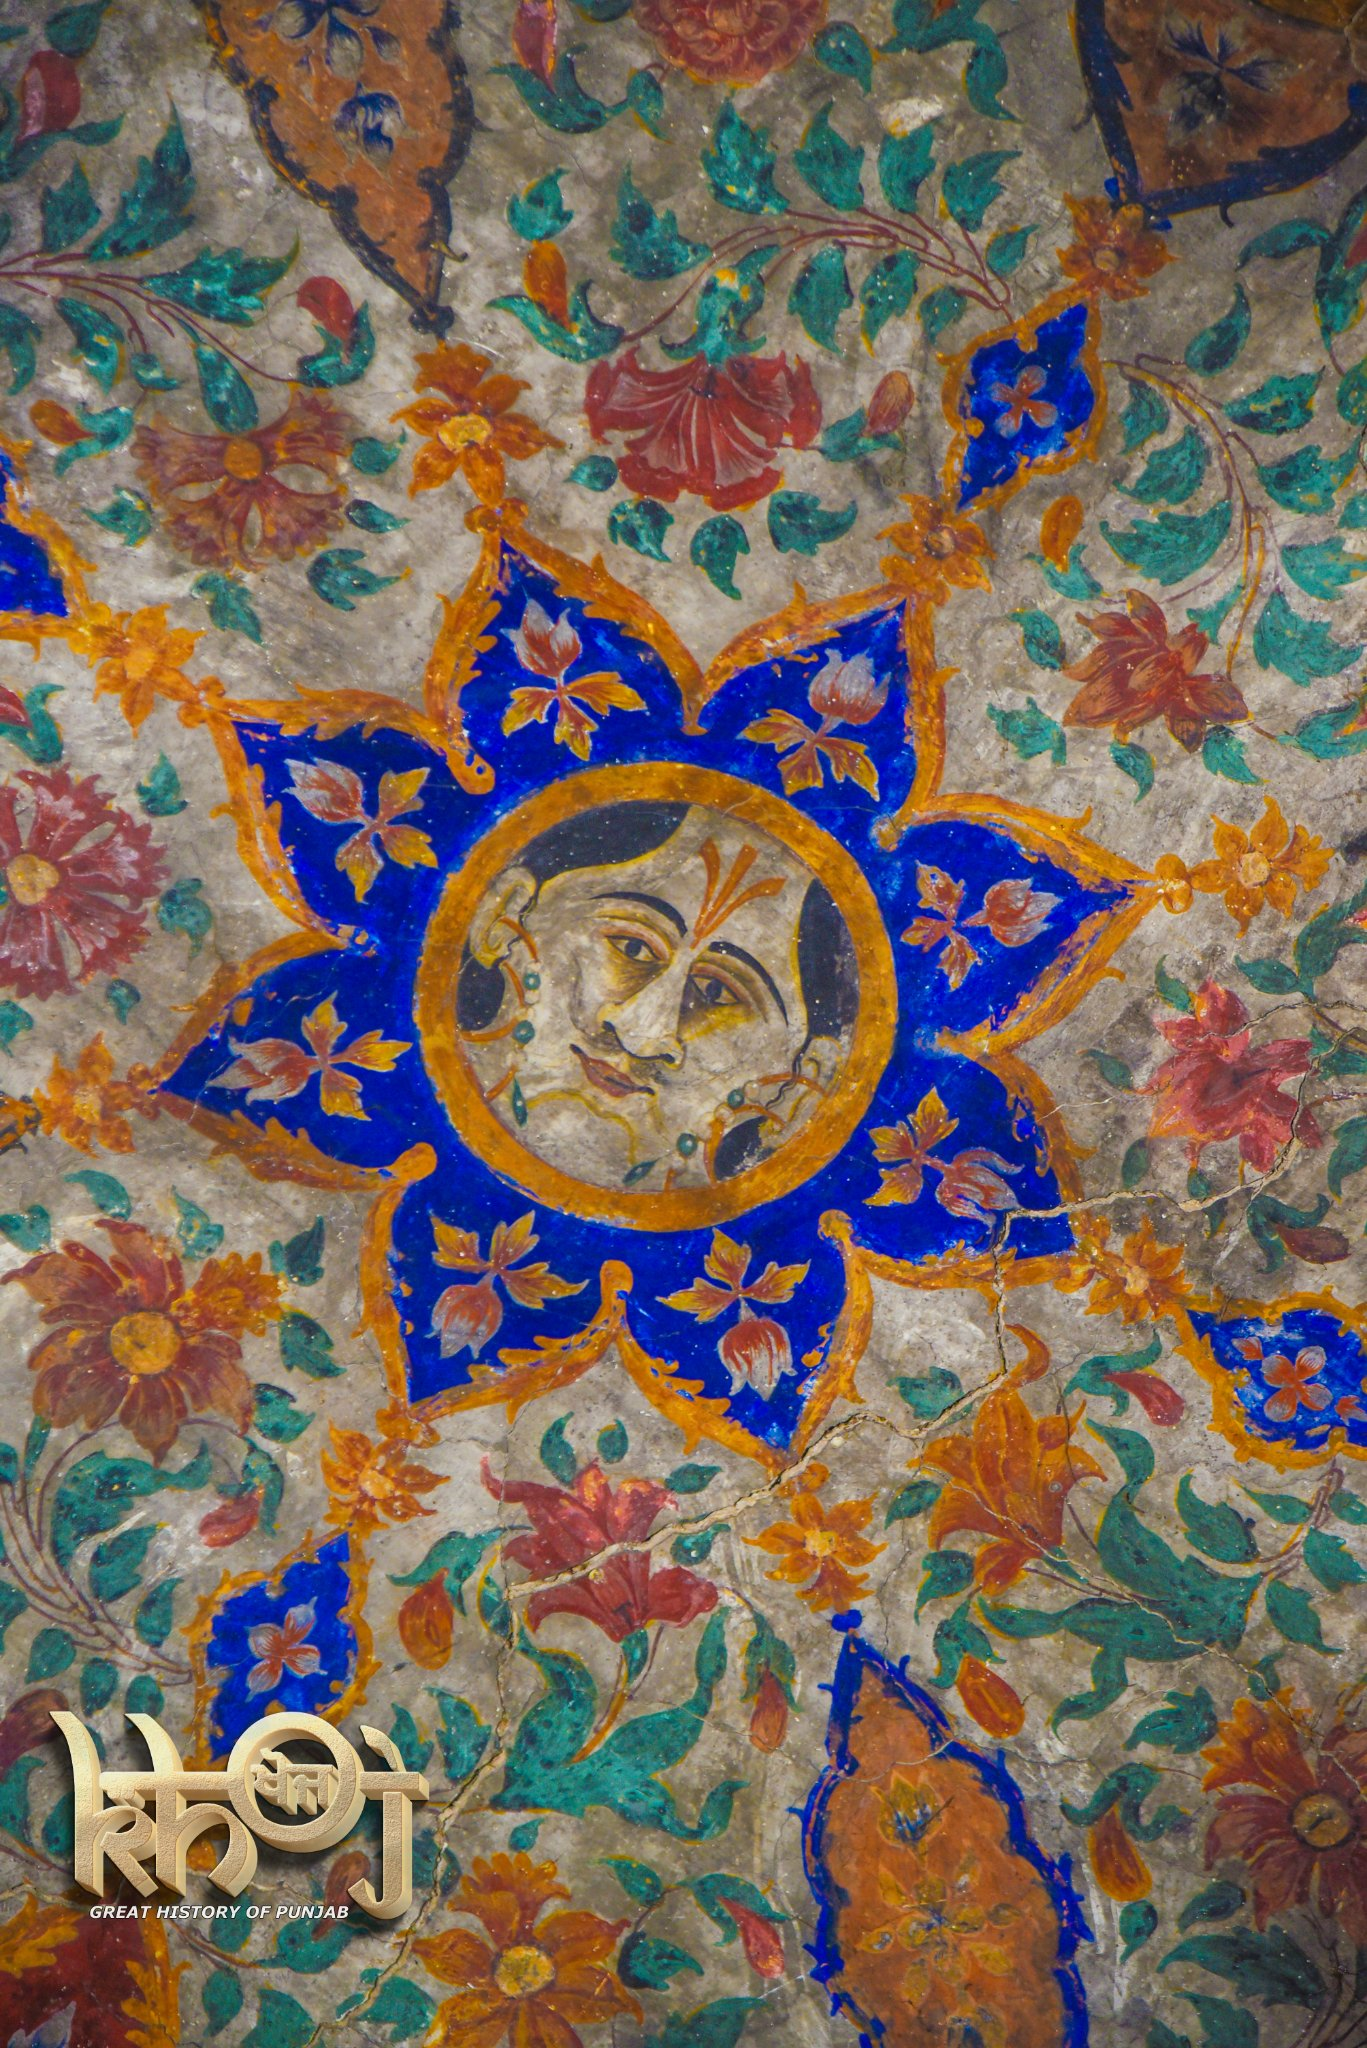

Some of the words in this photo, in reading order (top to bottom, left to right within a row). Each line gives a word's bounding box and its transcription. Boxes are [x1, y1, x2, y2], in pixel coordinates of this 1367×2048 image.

[38, 1700, 439, 1926] khoj
[84, 1899, 156, 1921] GREAT
[150, 1901, 244, 1927] HISTORY
[241, 1899, 275, 1928] OF
[270, 1900, 355, 1926] PUNJAB